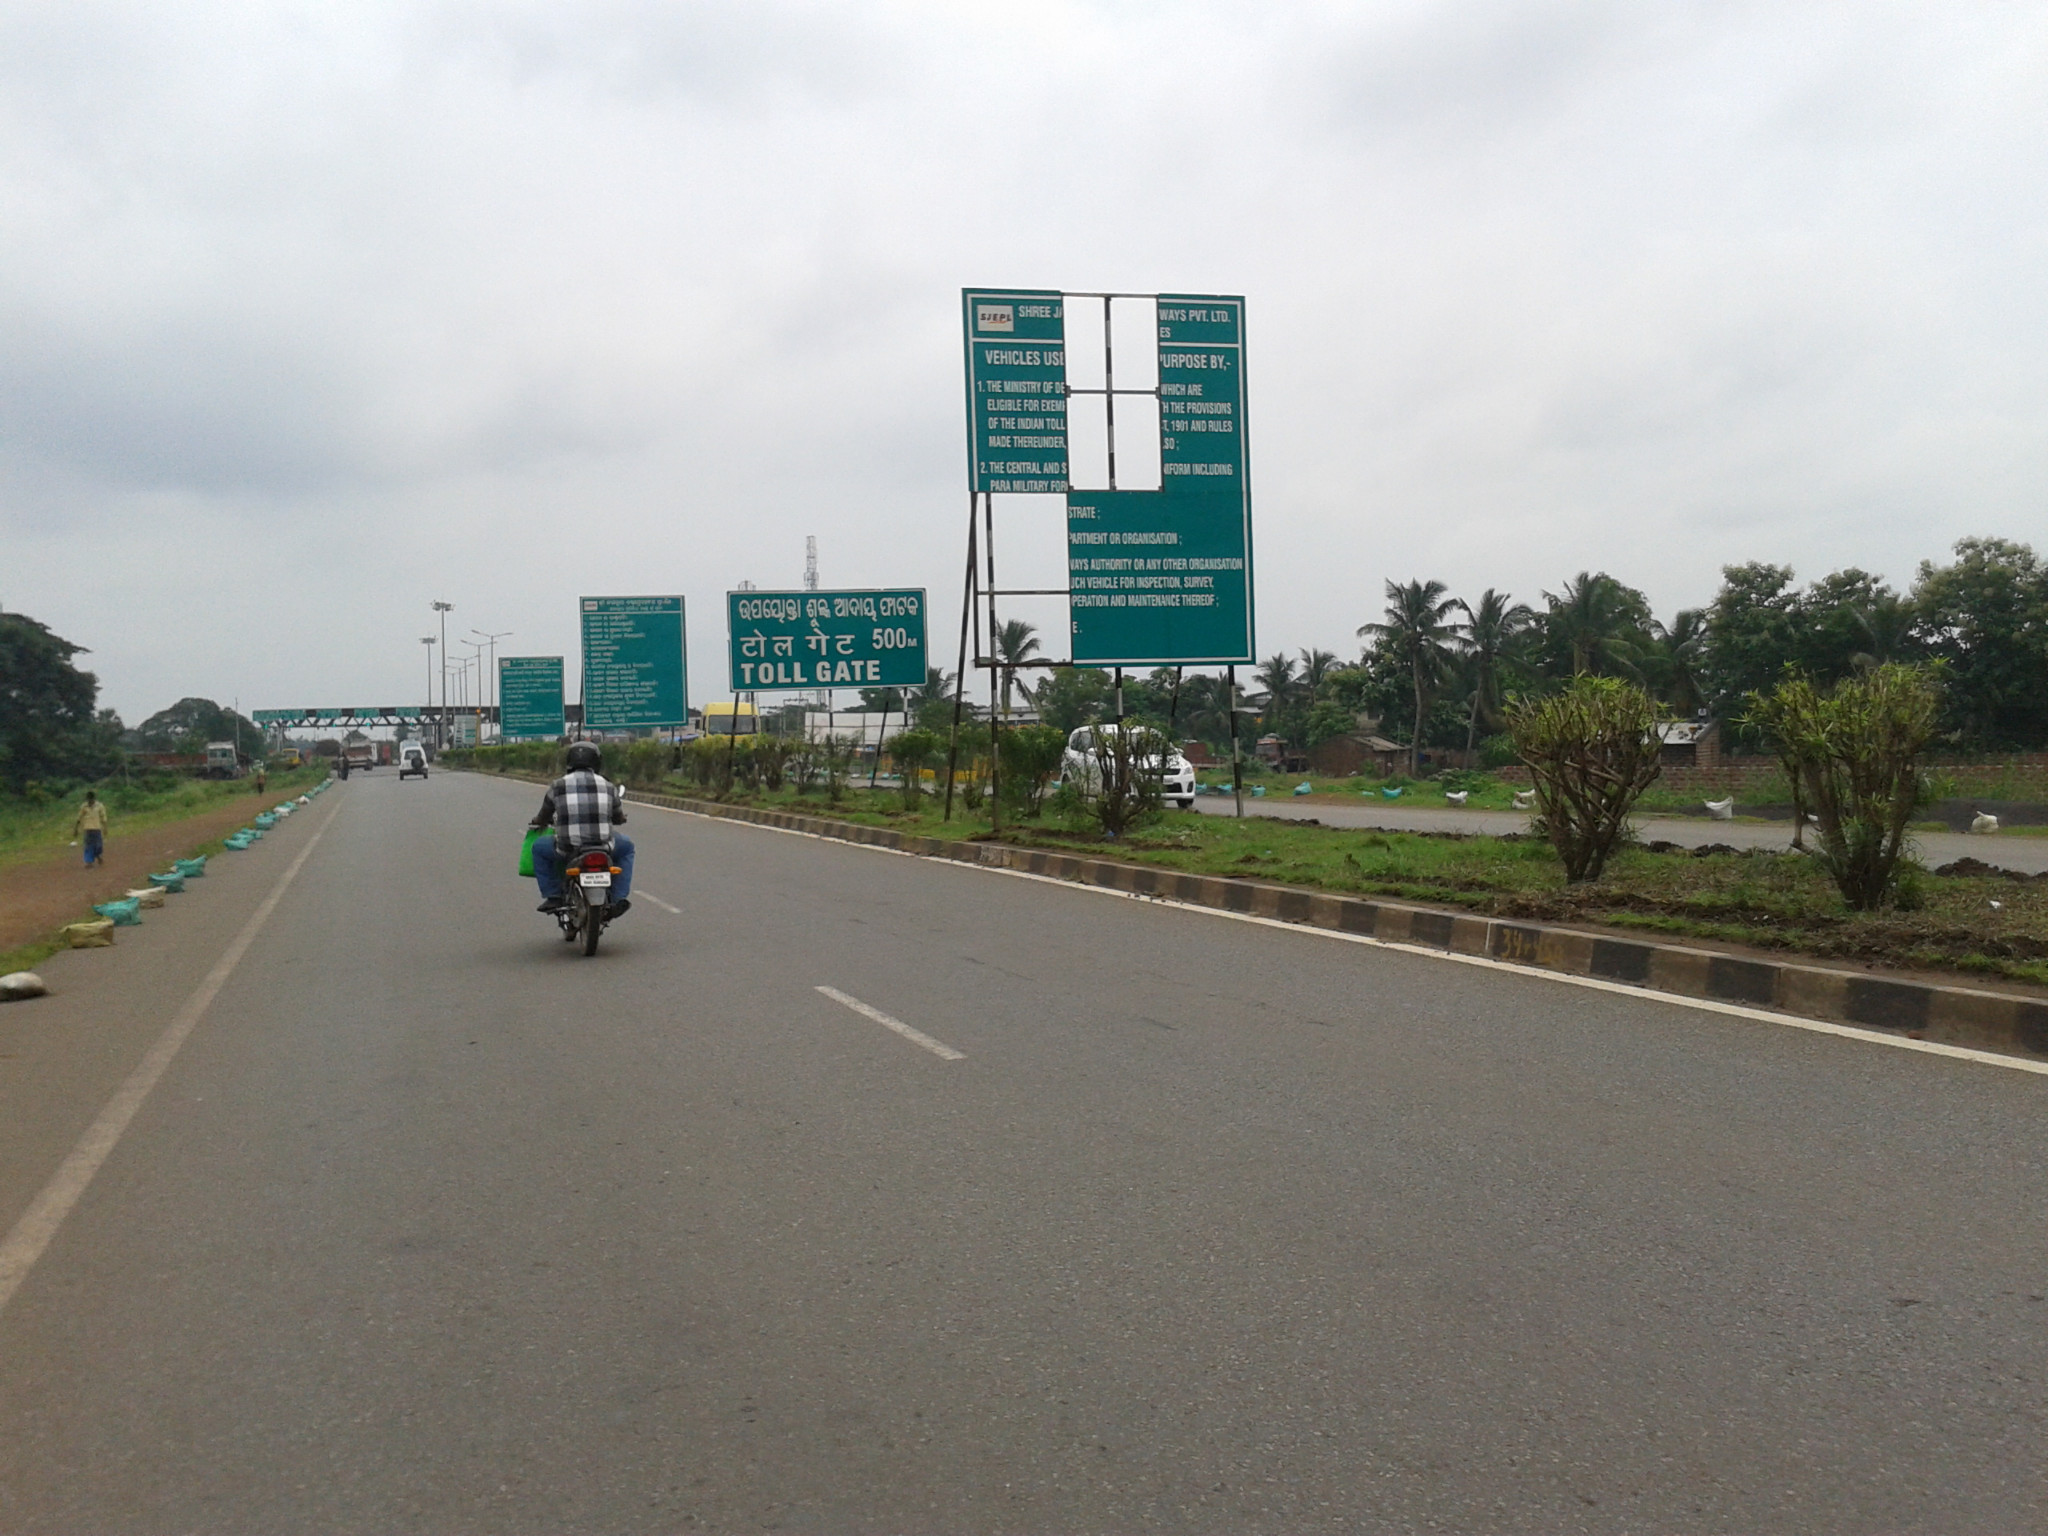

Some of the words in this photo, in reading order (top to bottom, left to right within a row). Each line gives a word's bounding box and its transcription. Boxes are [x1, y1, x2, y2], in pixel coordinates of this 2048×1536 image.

[1154, 299, 1193, 325] WAYS
[1185, 303, 1235, 327] PVT.LTD.
[979, 342, 1045, 370] VEHICLES
[1157, 346, 1227, 372] URPOSEBY,
[1000, 373, 1049, 397] MINISTRY
[984, 394, 1026, 417] ELIGIBLE
[1185, 395, 1236, 420] PROVISIONS
[1013, 411, 1049, 435] INDIAN
[1186, 415, 1211, 436] AND
[1205, 412, 1237, 435] RULES
[1011, 429, 1072, 450] THEREUNDER,
[1003, 456, 1045, 476] CENTRAL
[1189, 454, 1236, 480] INCLUDING
[1119, 527, 1185, 549] ORGANISATION;
[1085, 553, 1139, 575] AUTHORITY
[1155, 550, 1191, 575] OTHER
[1186, 553, 1247, 573] ORGANISATION
[1135, 569, 1186, 593] INSPECTION,
[1179, 572, 1218, 593] SURVEY,
[733, 591, 807, 626] ଉପ‌ୟୋକ୍ତା
[801, 595, 836, 636] ଶୁକ୍ଳ
[827, 593, 883, 624] ଆଦାୟ
[872, 591, 927, 622] ଫାଟକ
[1105, 589, 1132, 611] AND
[1123, 586, 1185, 611] MAINTENANCE
[1178, 586, 1220, 609] THEREOF:
[735, 623, 799, 661] टोल
[801, 618, 859, 663] गेट
[868, 620, 924, 653] 500M
[738, 657, 811, 688] TOLL
[810, 652, 886, 687] GATE